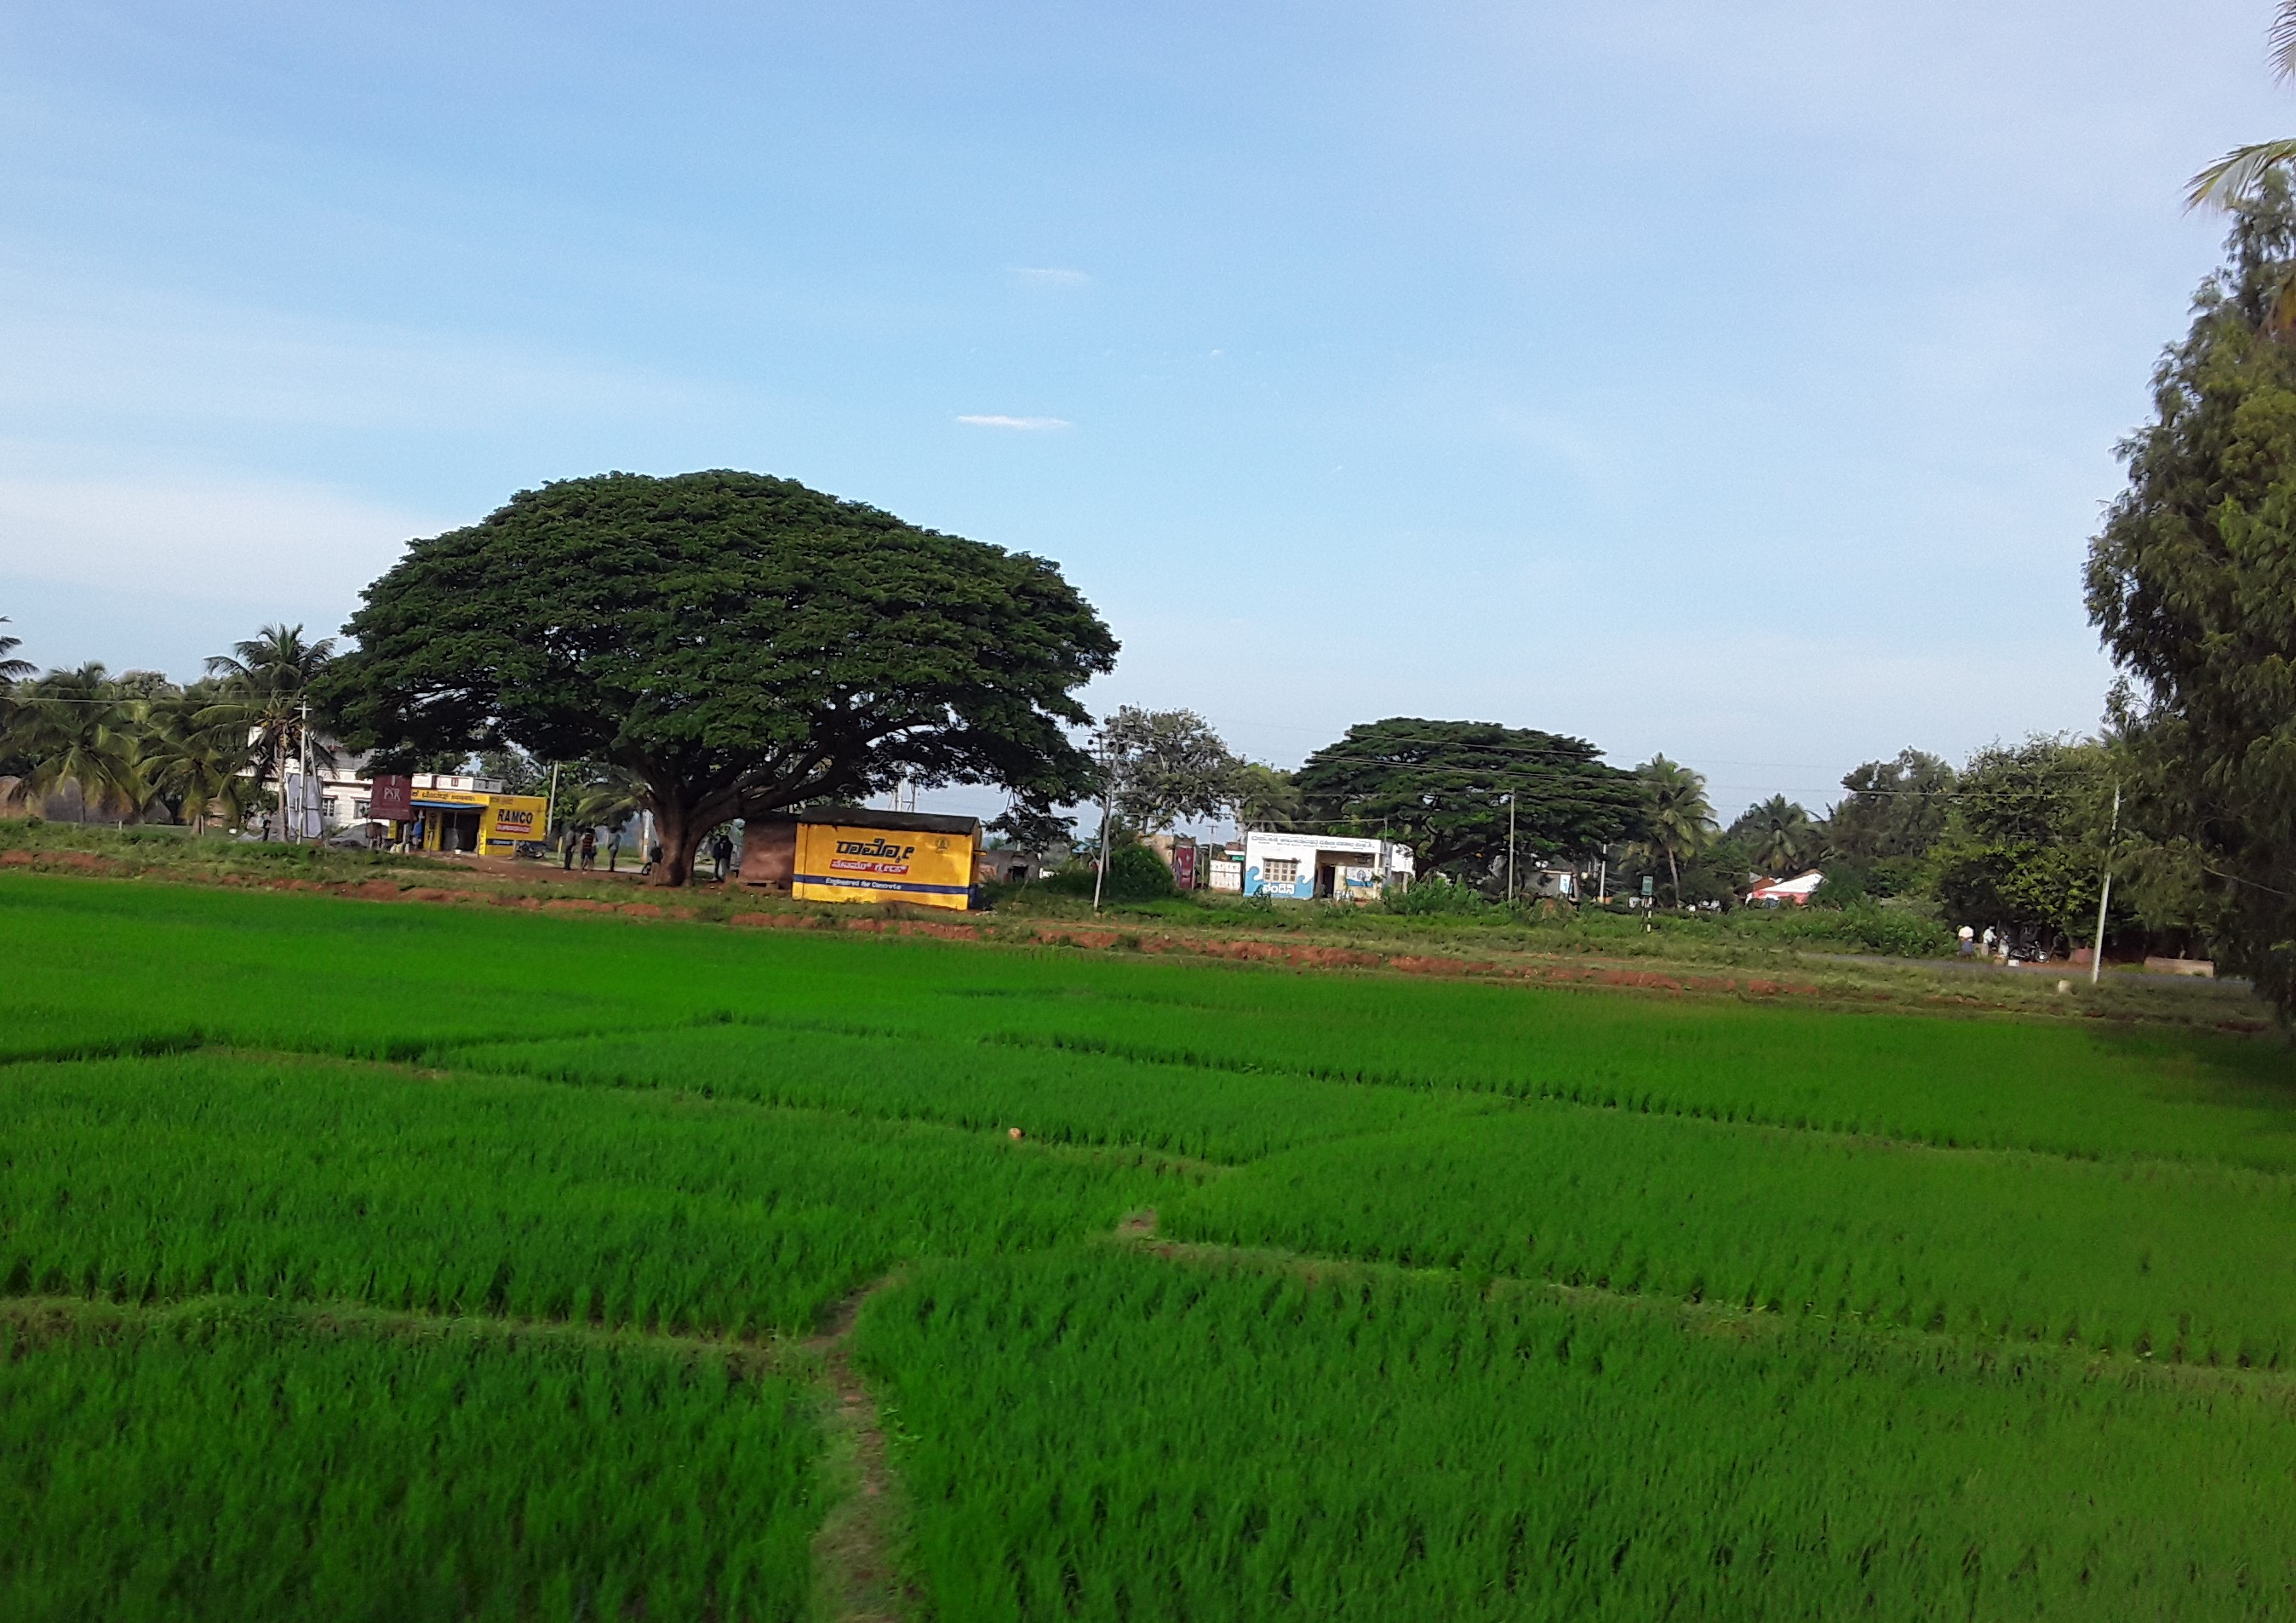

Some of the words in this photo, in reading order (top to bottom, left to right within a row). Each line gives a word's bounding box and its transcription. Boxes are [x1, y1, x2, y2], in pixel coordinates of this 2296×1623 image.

[493, 804, 535, 829] RAMCO
[828, 833, 918, 864] ರಾಮೋ
[868, 876, 905, 893] Concrete